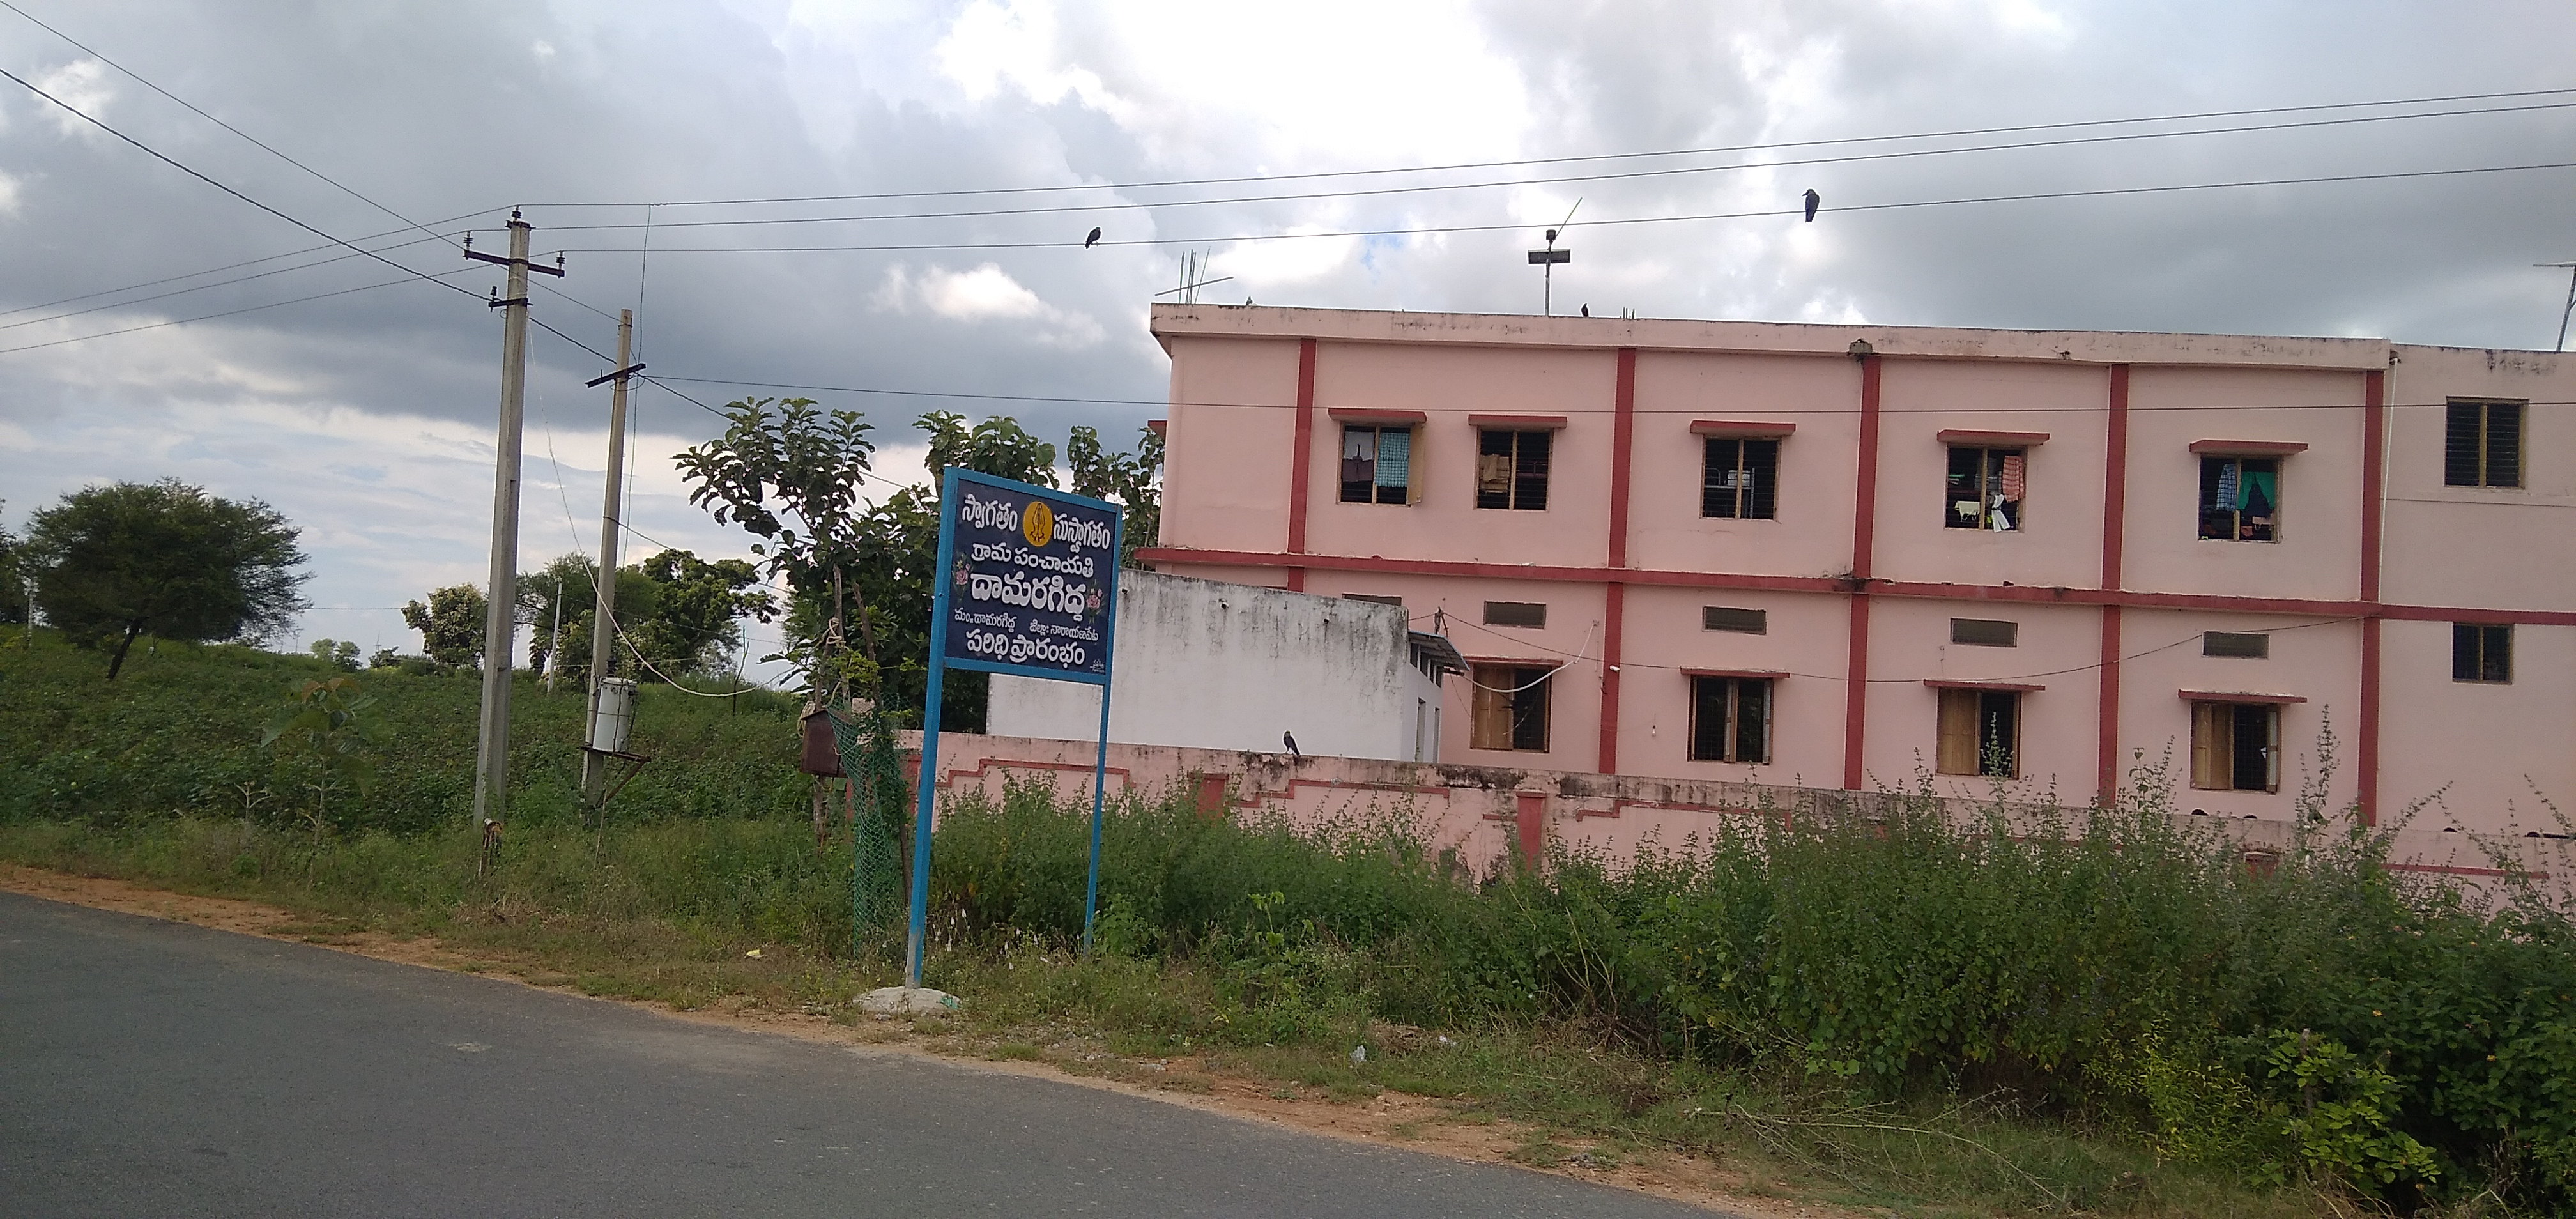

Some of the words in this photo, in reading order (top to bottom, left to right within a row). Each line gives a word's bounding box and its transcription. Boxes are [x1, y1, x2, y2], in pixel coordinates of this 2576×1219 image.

[954, 487, 1022, 535] స్వాగతం
[1047, 509, 1114, 556] సుస్వాగతం
[967, 538, 1098, 581] గ్రామపంచాయతి
[951, 604, 1022, 635] మం. దామరగిద్ద
[962, 623, 1089, 671] పరిధిప్రారంభం
[966, 567, 1089, 625] దామరగిద్ద
[1025, 615, 1102, 647] జిల్లా: నారాయణపేట